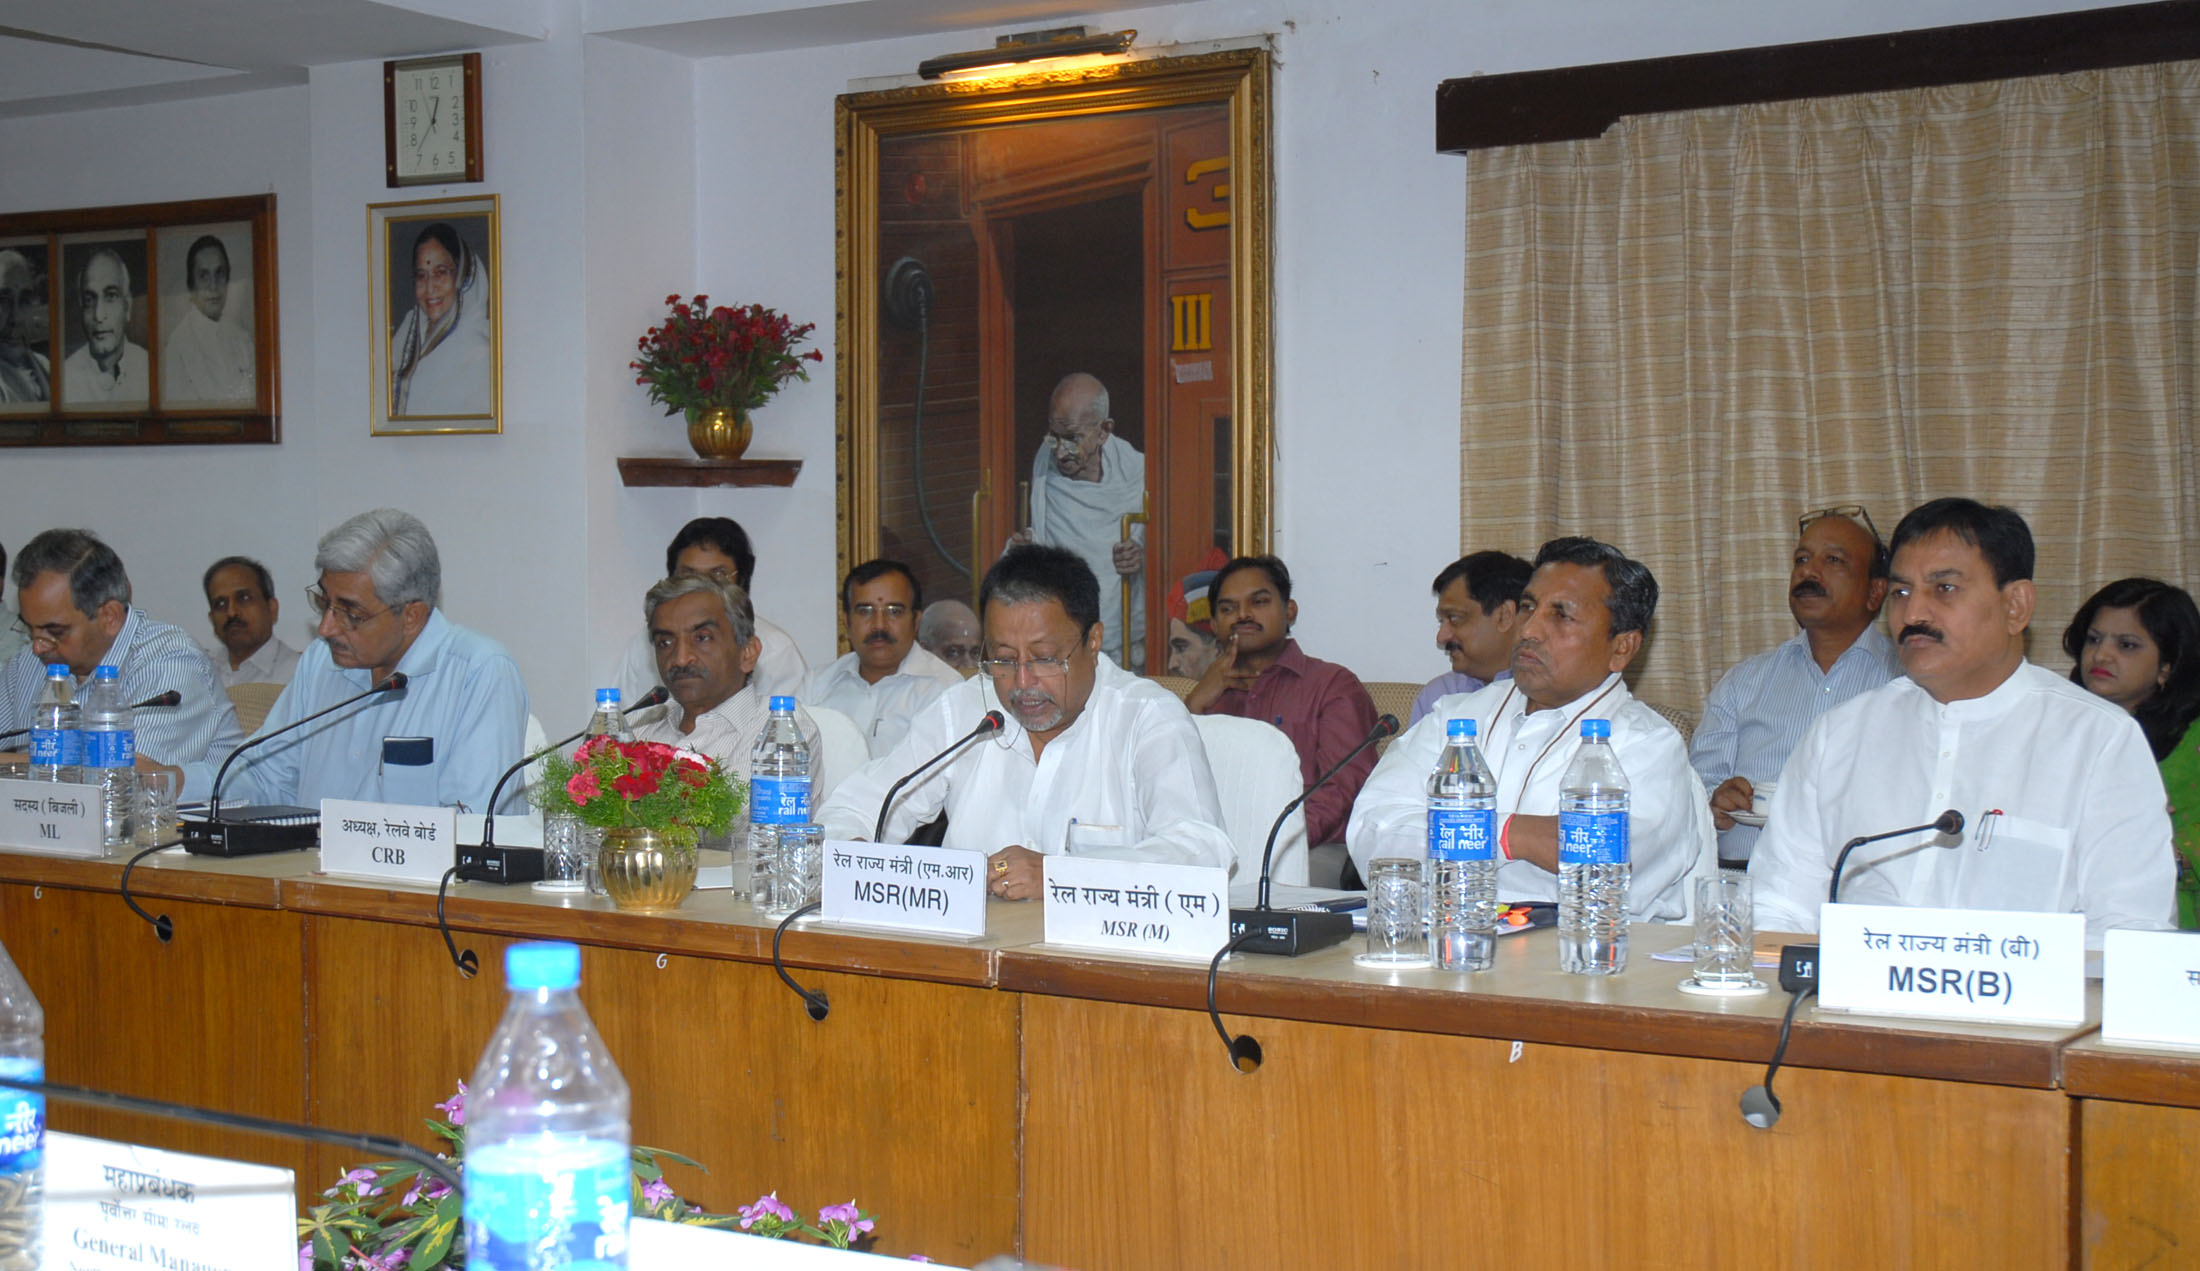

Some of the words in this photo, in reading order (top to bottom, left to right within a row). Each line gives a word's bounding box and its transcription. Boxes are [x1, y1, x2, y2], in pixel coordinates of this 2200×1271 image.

[10, 792, 43, 816] सदस्य
[39, 791, 83, 818] बिजली
[32, 813, 66, 848] ML
[338, 815, 382, 840] अध्यक्ष,
[374, 811, 415, 843] रेलवे
[406, 815, 440, 846] बोर्ड
[366, 840, 412, 873] CRB
[824, 845, 858, 873] रेल
[854, 847, 887, 878] राज्य
[882, 849, 916, 880] मंत्री
[916, 858, 971, 886] एम॰आर
[851, 873, 950, 917] MSR(MR)
[1039, 876, 1078, 909] रेल
[1079, 883, 1125, 909] राज्य
[1119, 878, 1164, 913] मंत्री
[1175, 889, 1209, 923] एम
[1097, 916, 1169, 943] MSR(M)
[1854, 919, 1895, 956] रेल
[1890, 925, 1951, 958] राज्य
[1948, 927, 1998, 959] मंत्री
[1999, 930, 2036, 961] बी
[1888, 962, 2015, 1007] MSR(B)
[100, 1159, 203, 1210] महाप्रबंधक
[95, 1187, 140, 1230] पूर्वोत्तर
[138, 1199, 175, 1236] सोम
[167, 1204, 209, 1242] रेलवे